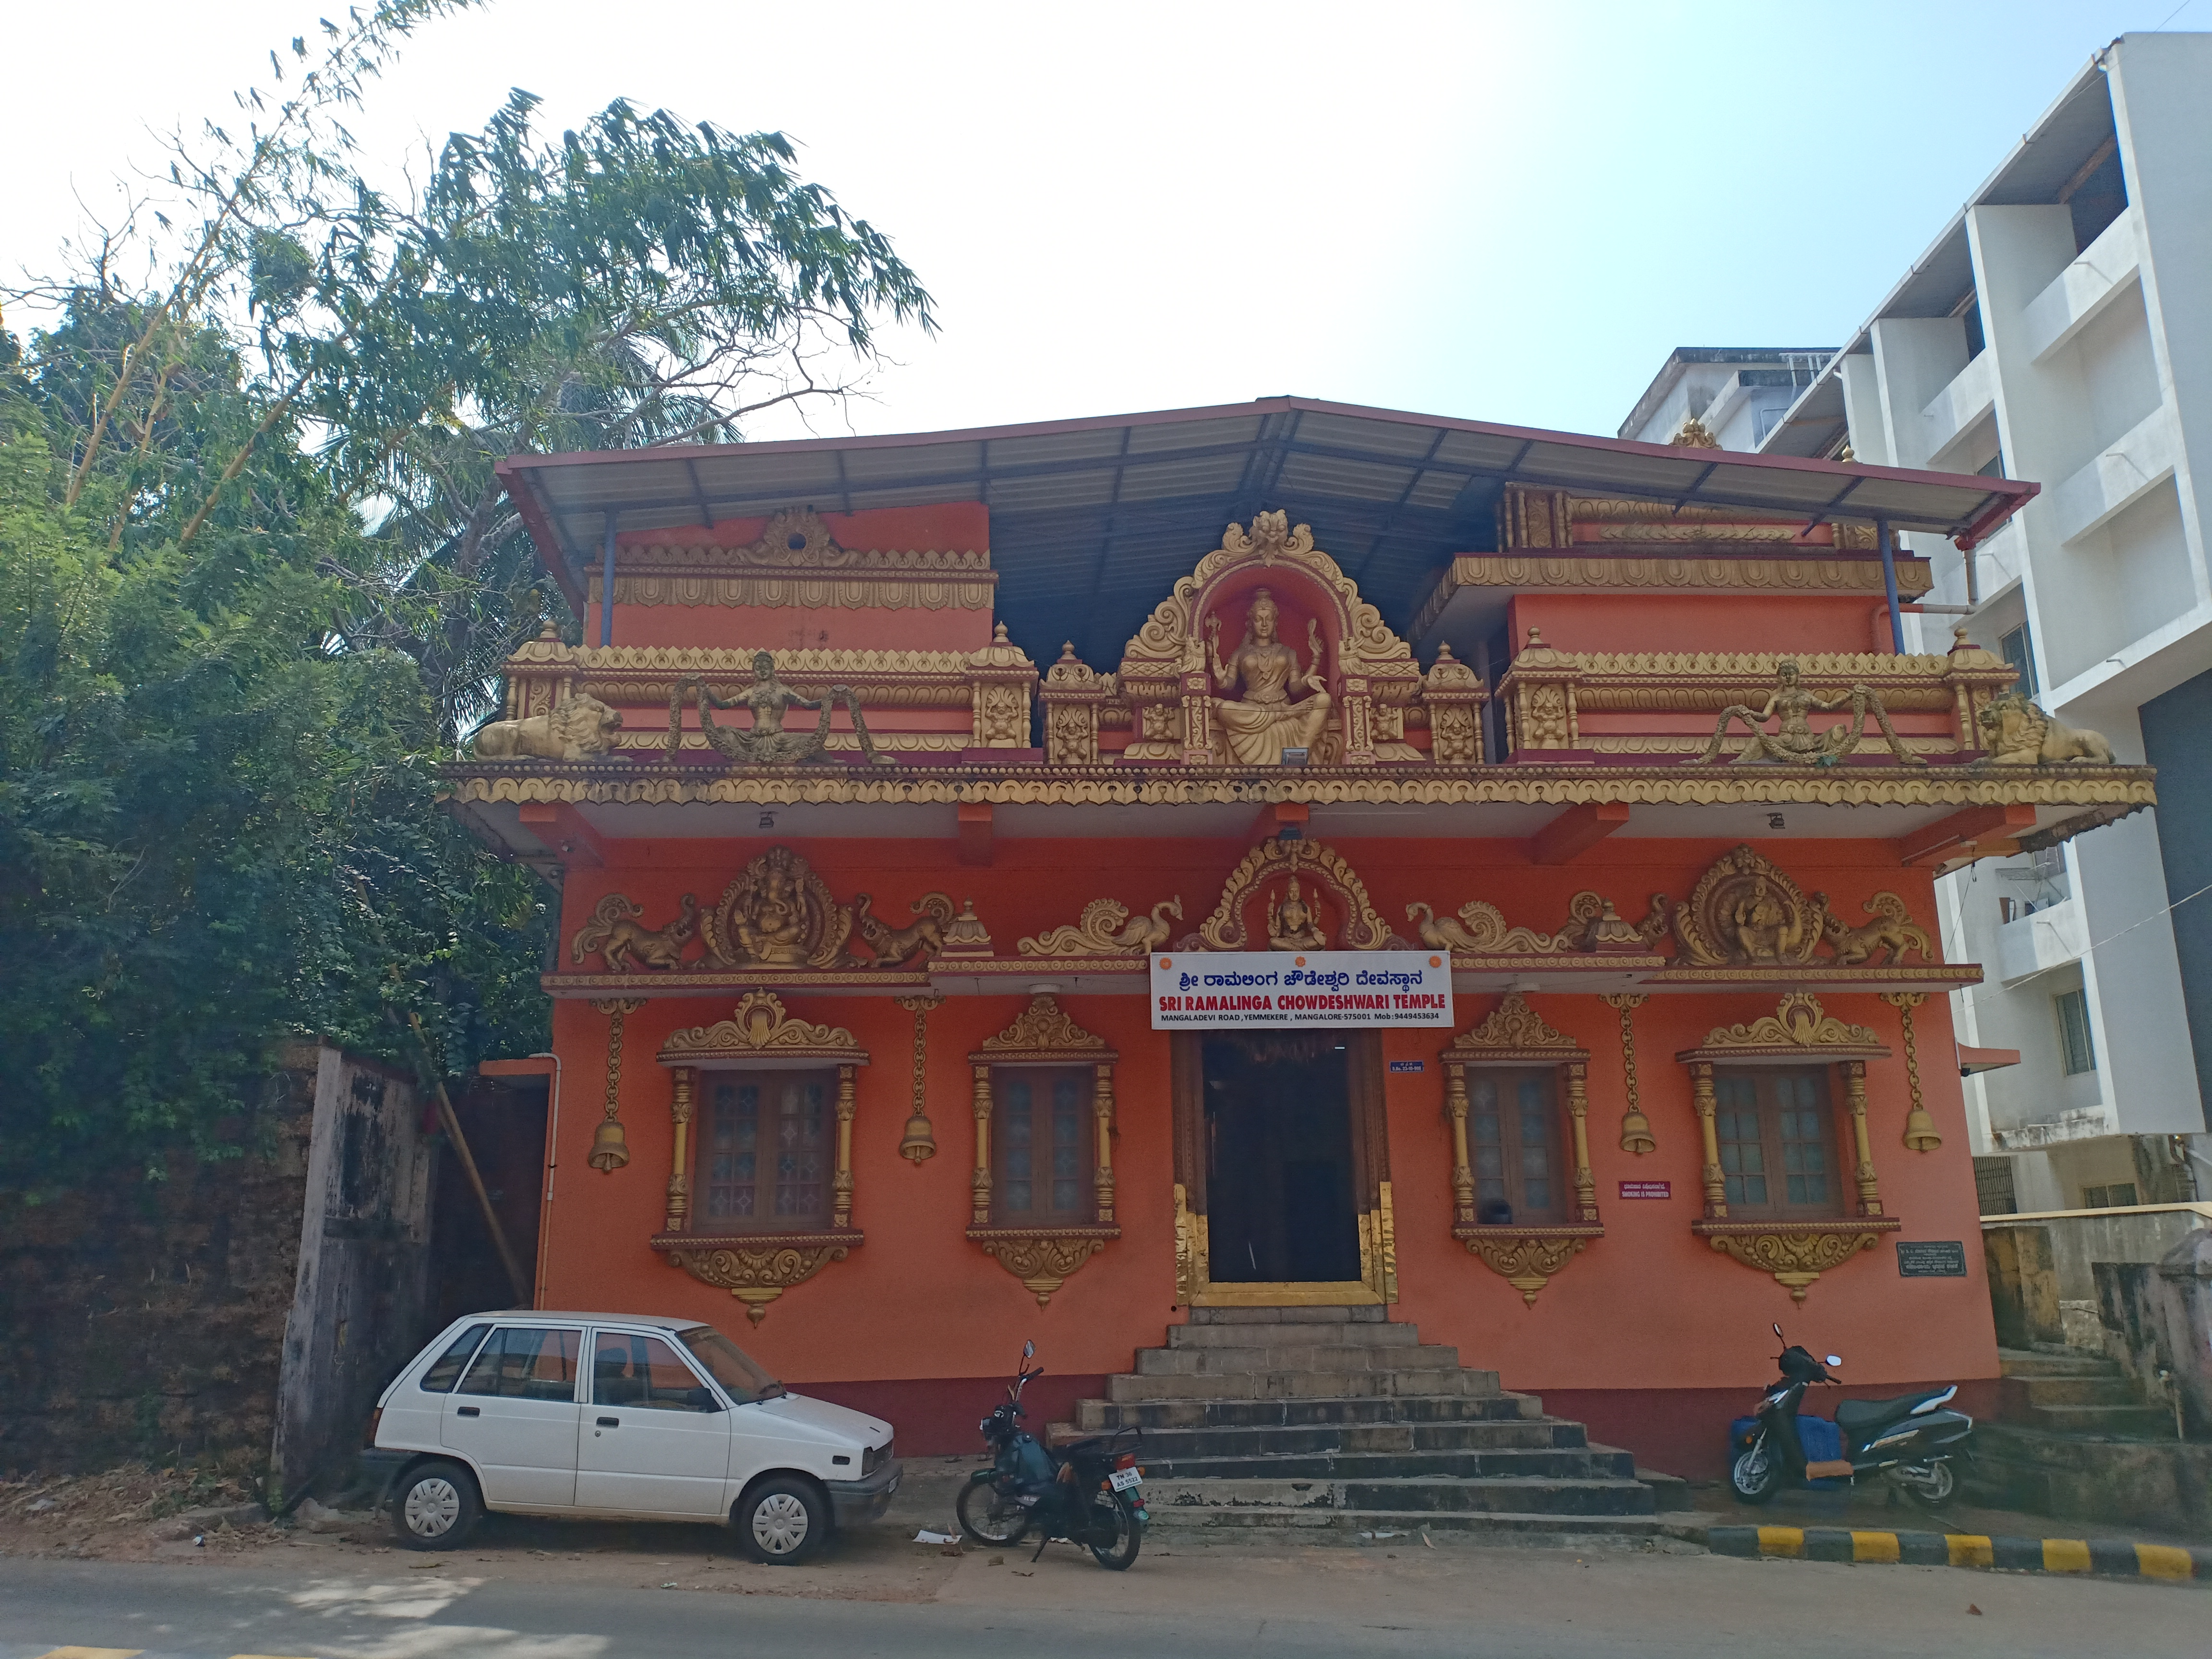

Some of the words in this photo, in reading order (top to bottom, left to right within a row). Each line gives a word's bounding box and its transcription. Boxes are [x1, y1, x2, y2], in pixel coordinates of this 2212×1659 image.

[1175, 969, 1202, 993] ಶ್ರೀ
[1200, 968, 1280, 988] ರಾಮಲಿಂಗ
[1281, 967, 1350, 994] ಚೌಡೇಶ್ವರಿ
[1352, 968, 1424, 994] ದೇವಸ್ಥಾನ
[1156, 992, 1184, 1014] SRI
[1184, 992, 1275, 1013] RAMALINGA
[1275, 992, 1392, 1013] CHOWDESHWARI
[1390, 991, 1448, 1011] TEMPLE
[1158, 1013, 1217, 1024] MANGALADEVI,
[1216, 1011, 1244, 1023] ROAD,
[1243, 1012, 1289, 1022] YEMMEKERE
[1293, 1011, 1343, 1022] MANGALORE
[1340, 1012, 1374, 1021] -575001
[1373, 1011, 1442, 1021] Mob:9449453634
[1619, 1188, 1643, 1200] SMOKING
[1638, 1188, 1647, 1200] IS
[1643, 1189, 1670, 1200] PROHIBITED